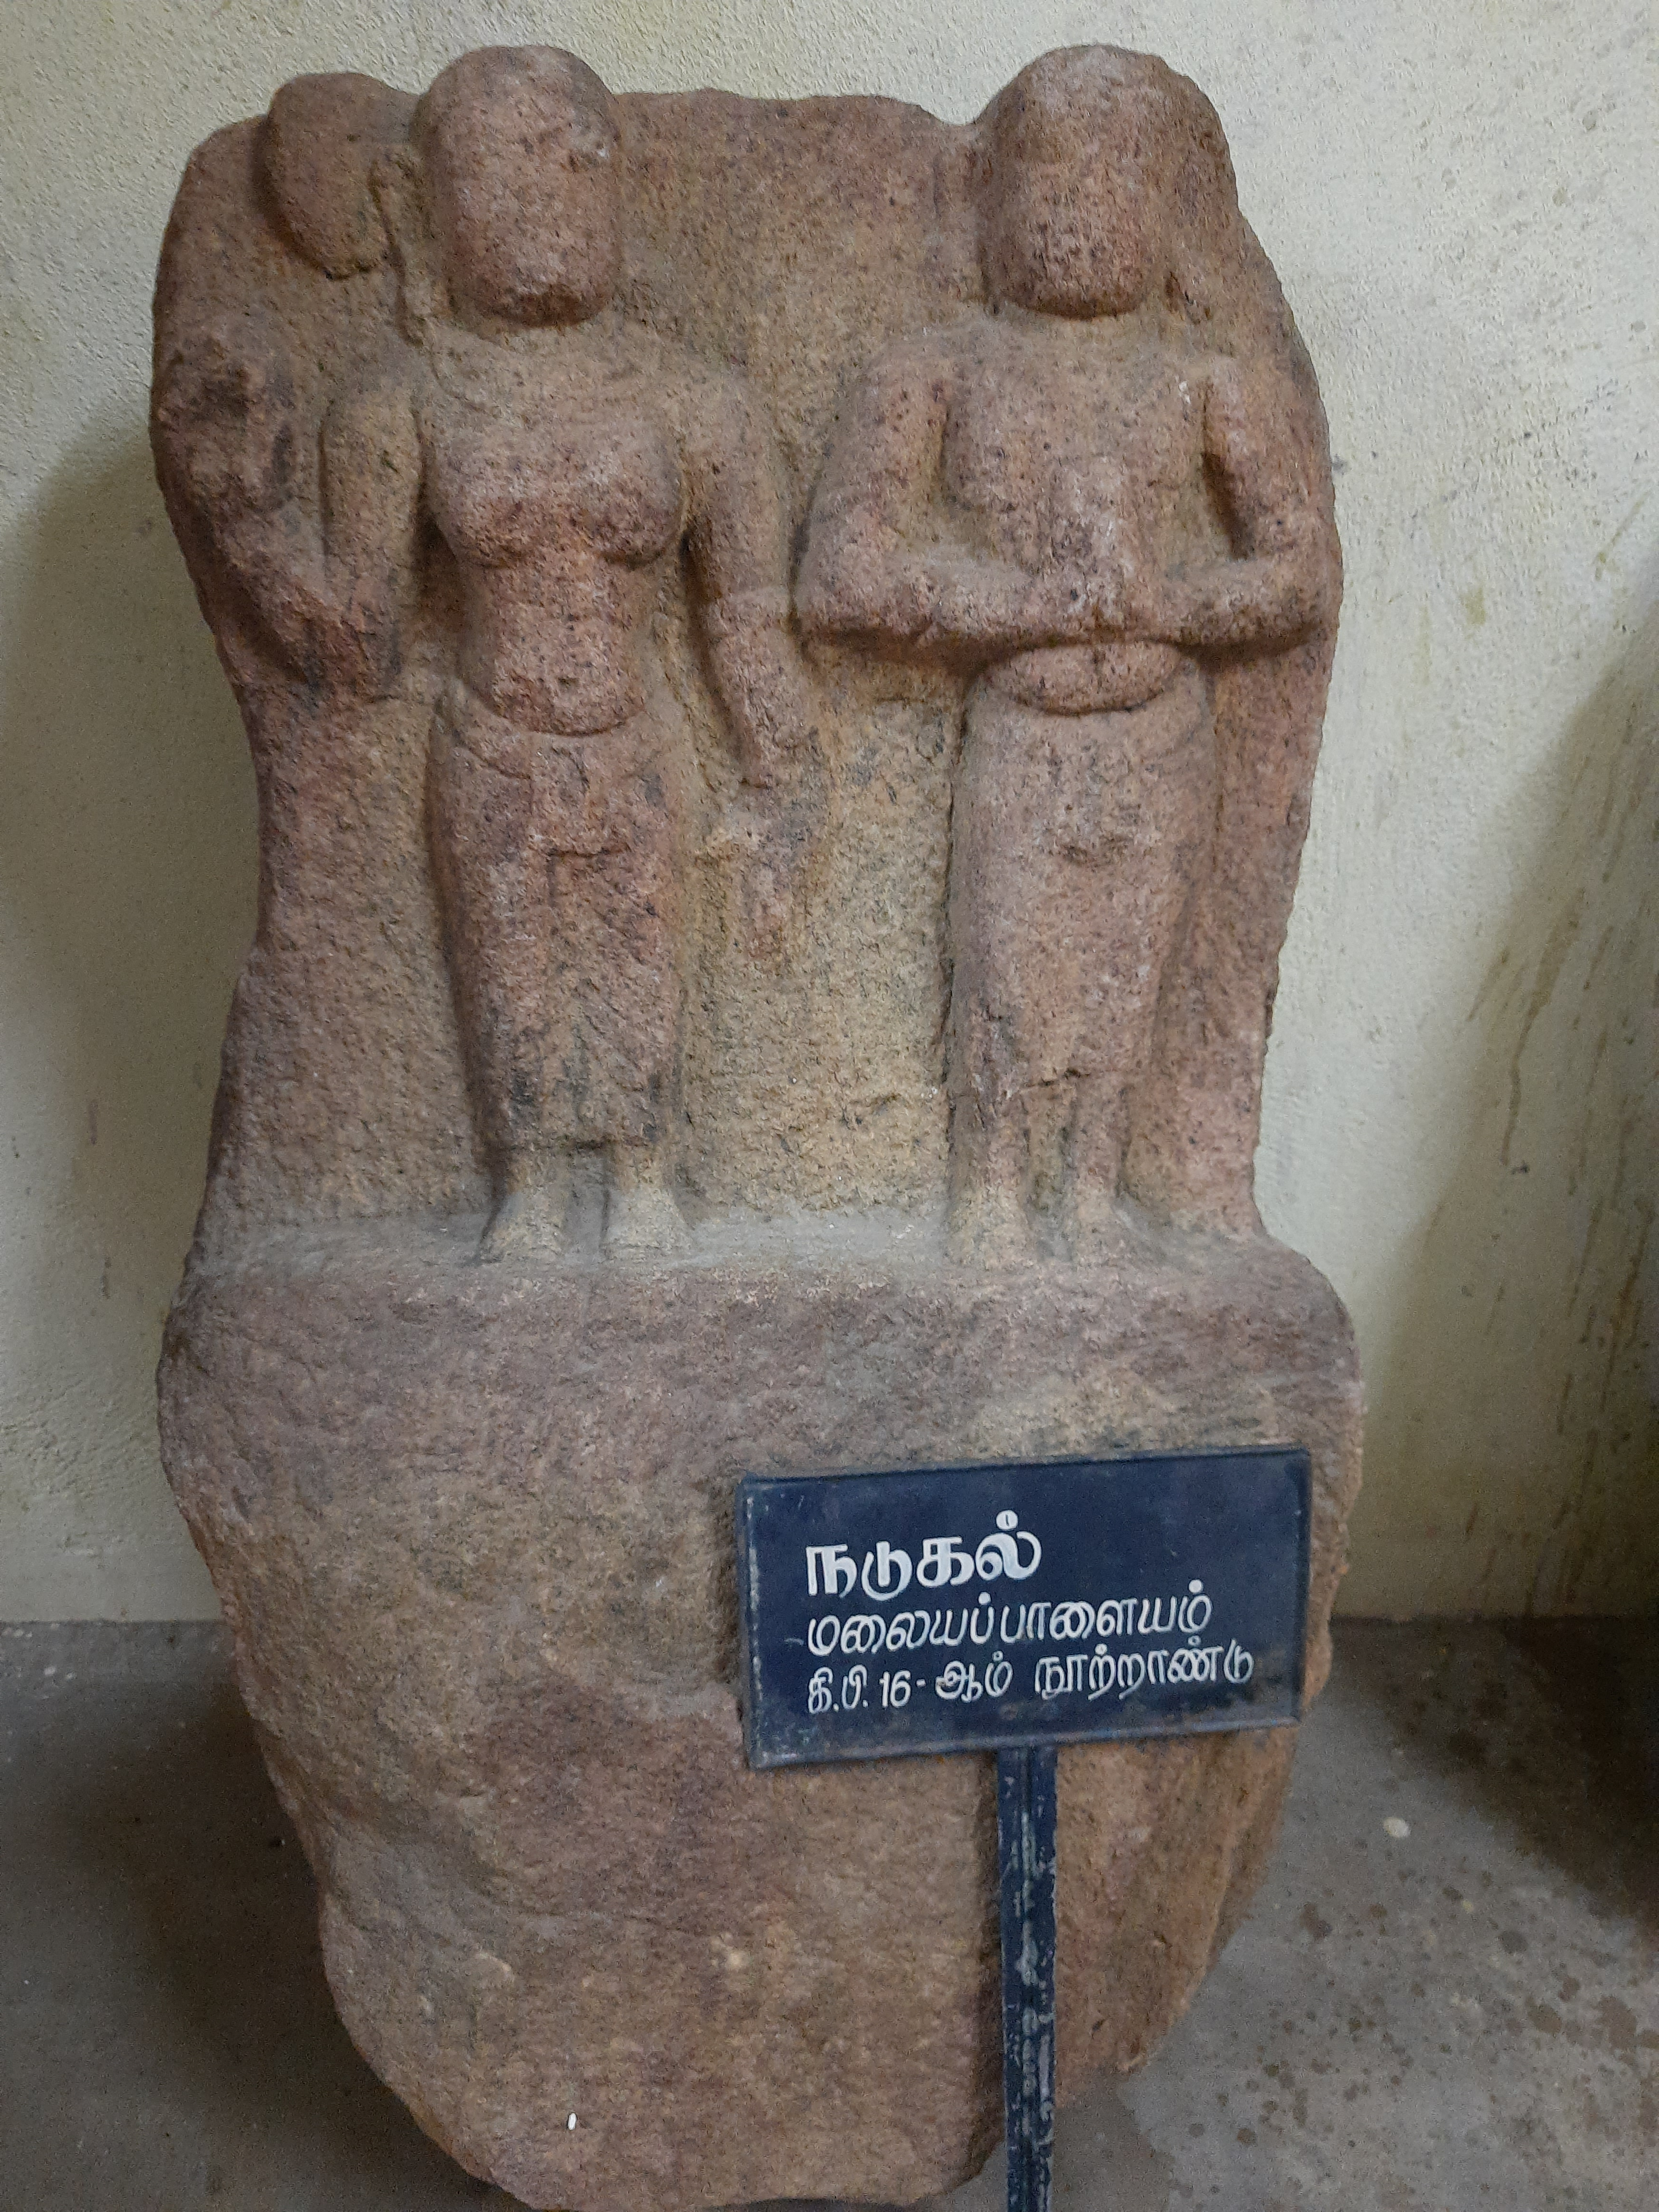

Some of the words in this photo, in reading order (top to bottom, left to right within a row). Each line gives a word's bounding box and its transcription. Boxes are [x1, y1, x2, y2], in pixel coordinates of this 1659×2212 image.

[800, 1500, 1050, 1608] நடுகல்
[800, 1579, 1220, 1661] மலையப்பாளையம்
[799, 1659, 917, 1722] கி.பி. 16
[927, 1649, 1021, 1711] ஆம்
[1029, 1626, 1260, 1707] நூற்றரண்டு